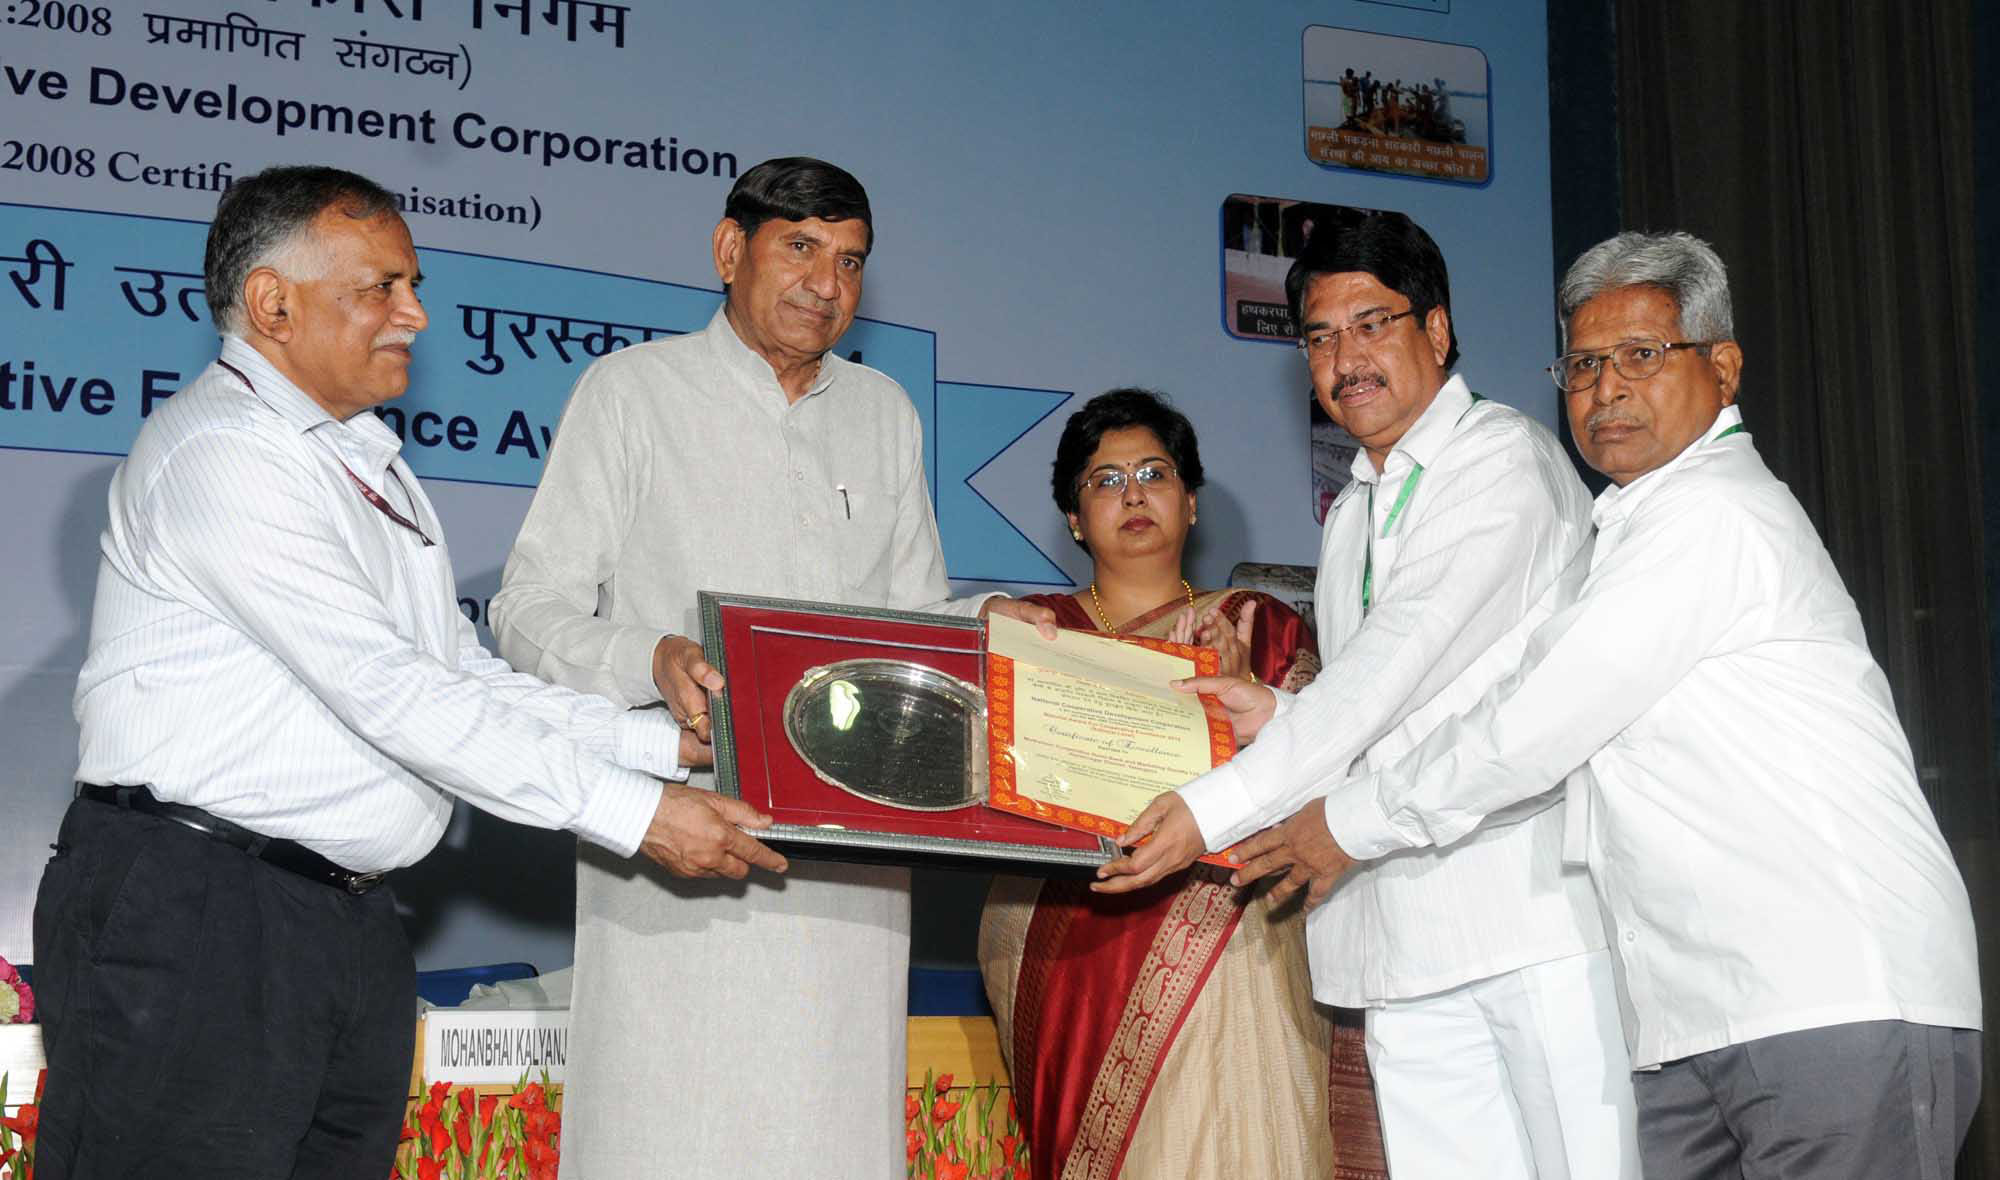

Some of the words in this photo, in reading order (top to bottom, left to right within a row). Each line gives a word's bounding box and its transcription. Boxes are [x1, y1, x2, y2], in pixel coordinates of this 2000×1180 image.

[6, 0, 117, 37] 2008
[142, 4, 308, 67] प्रमाणित
[333, 30, 470, 83] संगठन
[82, 56, 438, 152] Development
[1, 133, 100, 187] 2008
[451, 99, 745, 190] Corporation
[457, 297, 692, 386] पुरस्का
[0, 353, 123, 420] tive
[391, 402, 482, 455] ce
[436, 1023, 519, 1072] MOHANBHAI
[511, 1021, 575, 1072] KALYANJ